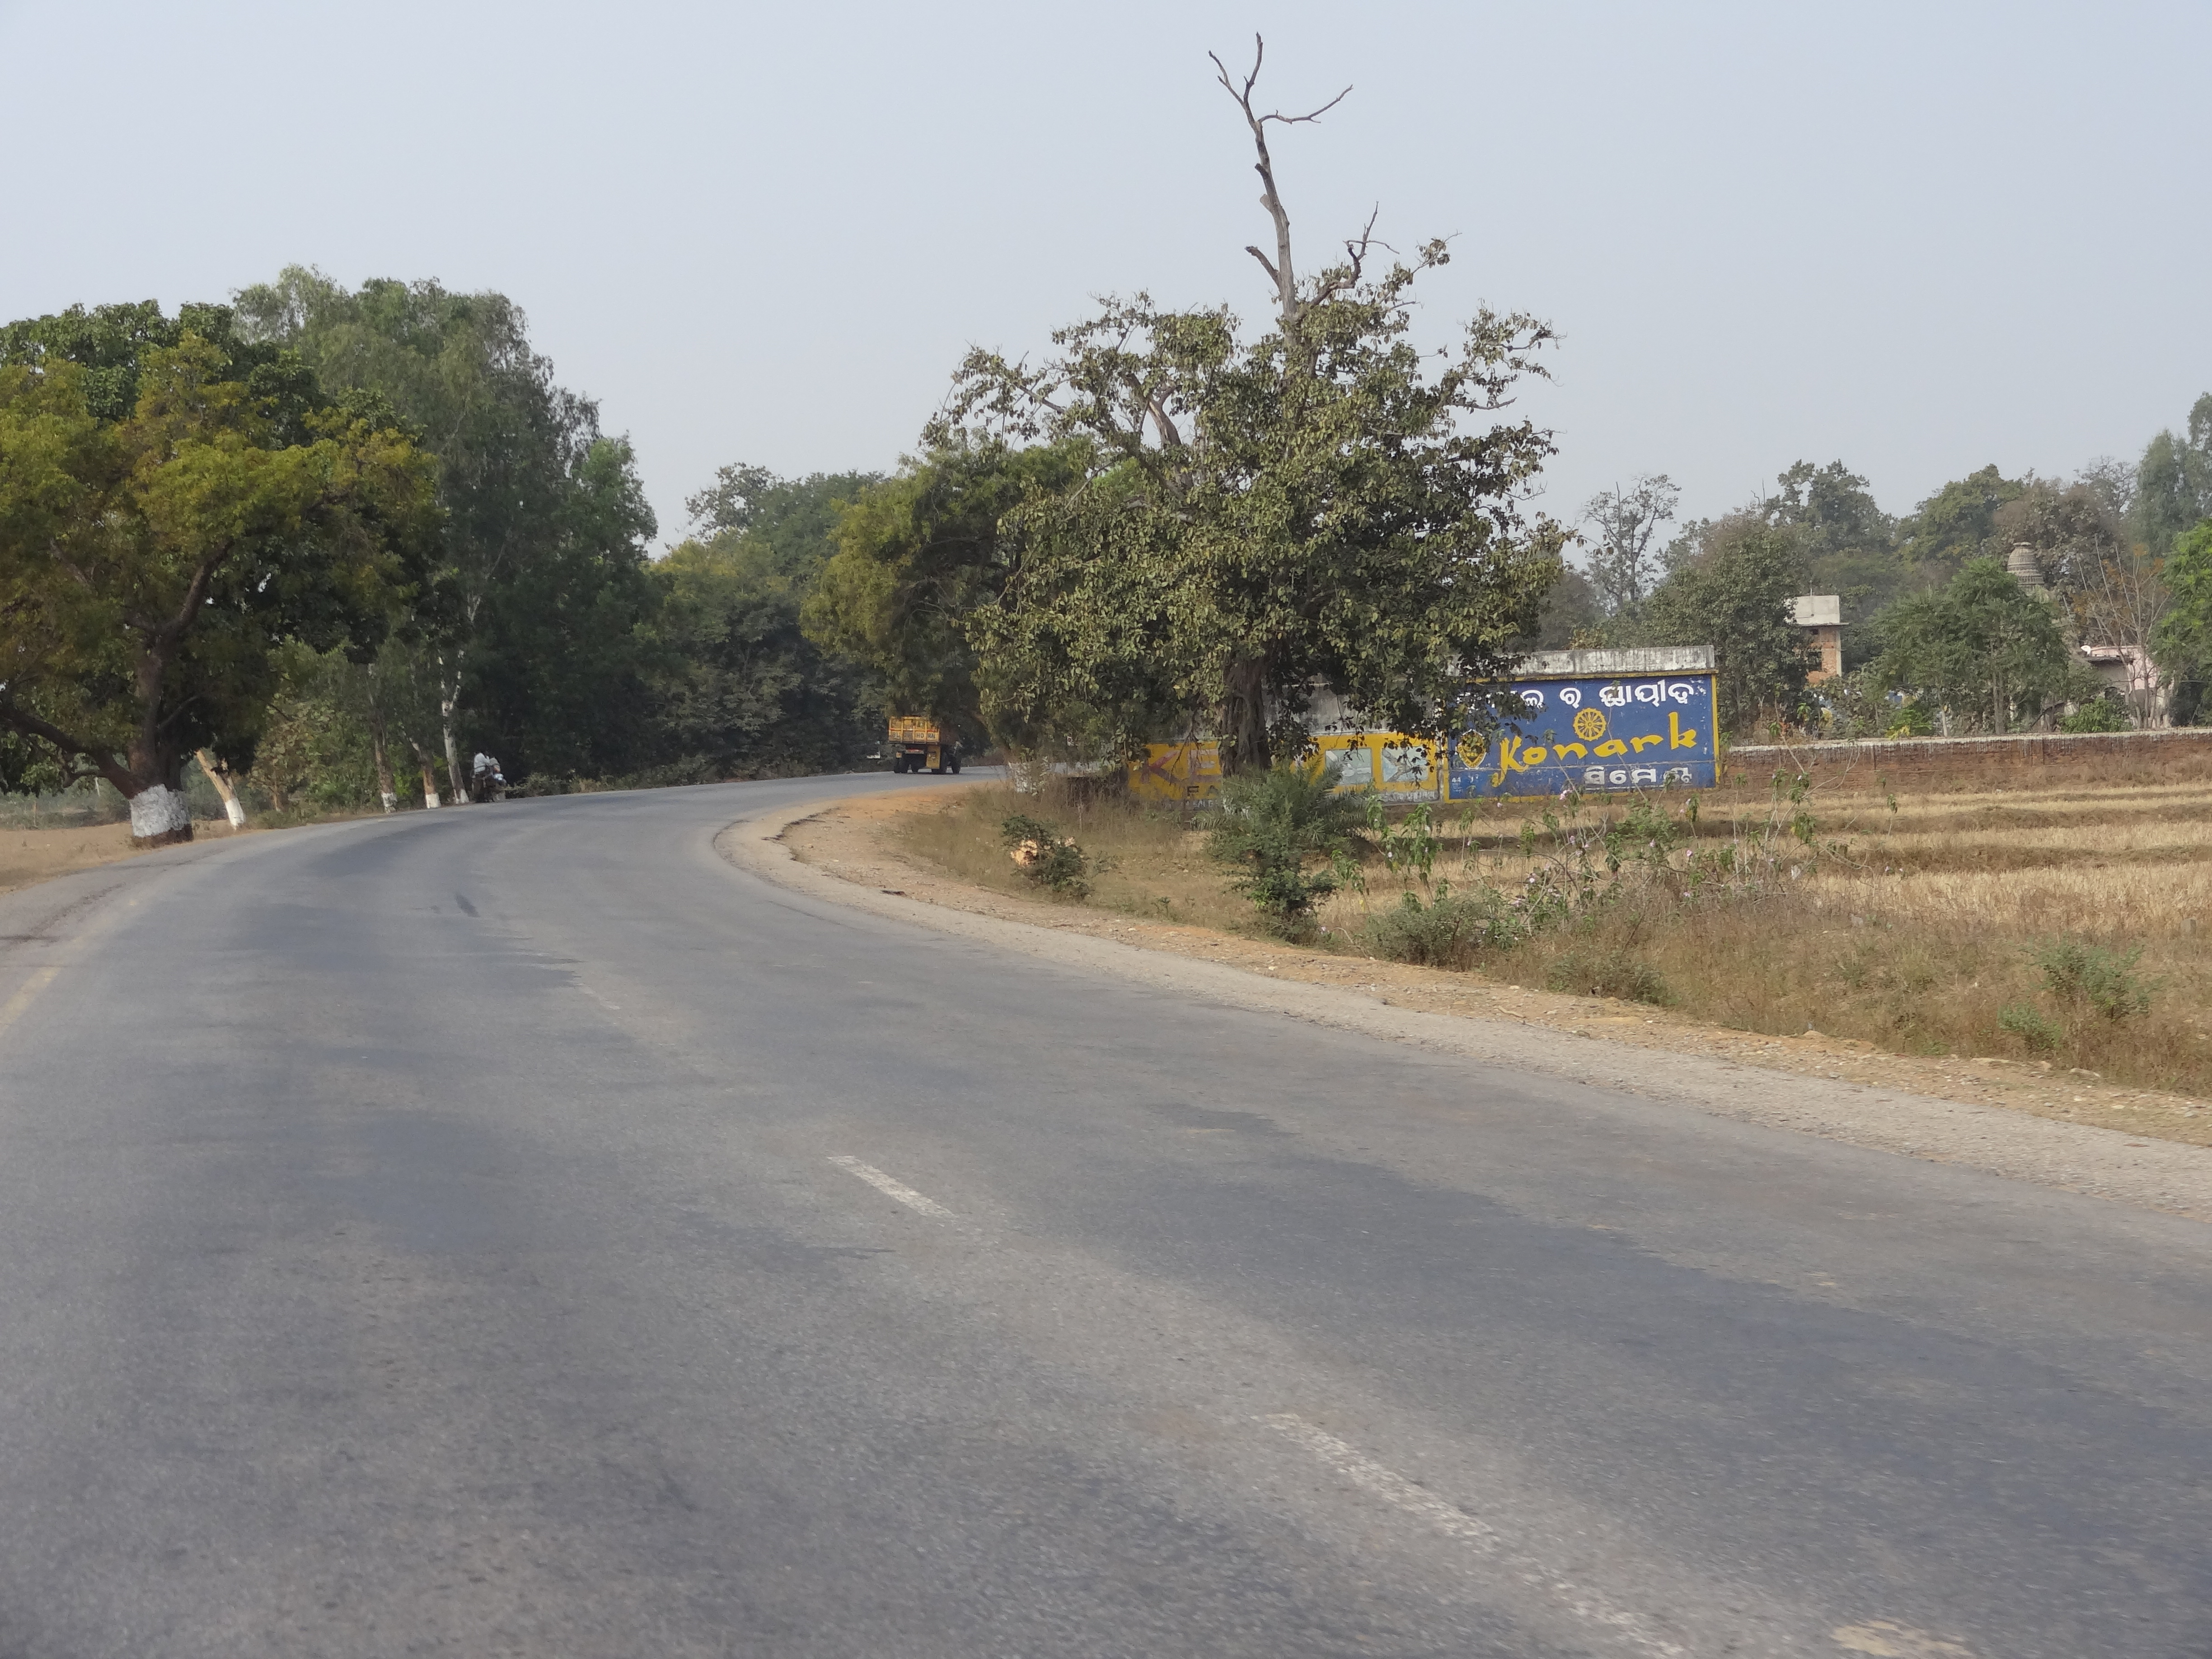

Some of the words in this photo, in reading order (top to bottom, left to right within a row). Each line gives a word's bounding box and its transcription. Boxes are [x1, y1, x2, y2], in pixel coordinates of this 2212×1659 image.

[1597, 676, 1701, 710] ସ୍ଥାୟୀହ
[1489, 706, 1700, 793] Konark
[1580, 761, 1694, 788] ସିମେଣ୍ଟ